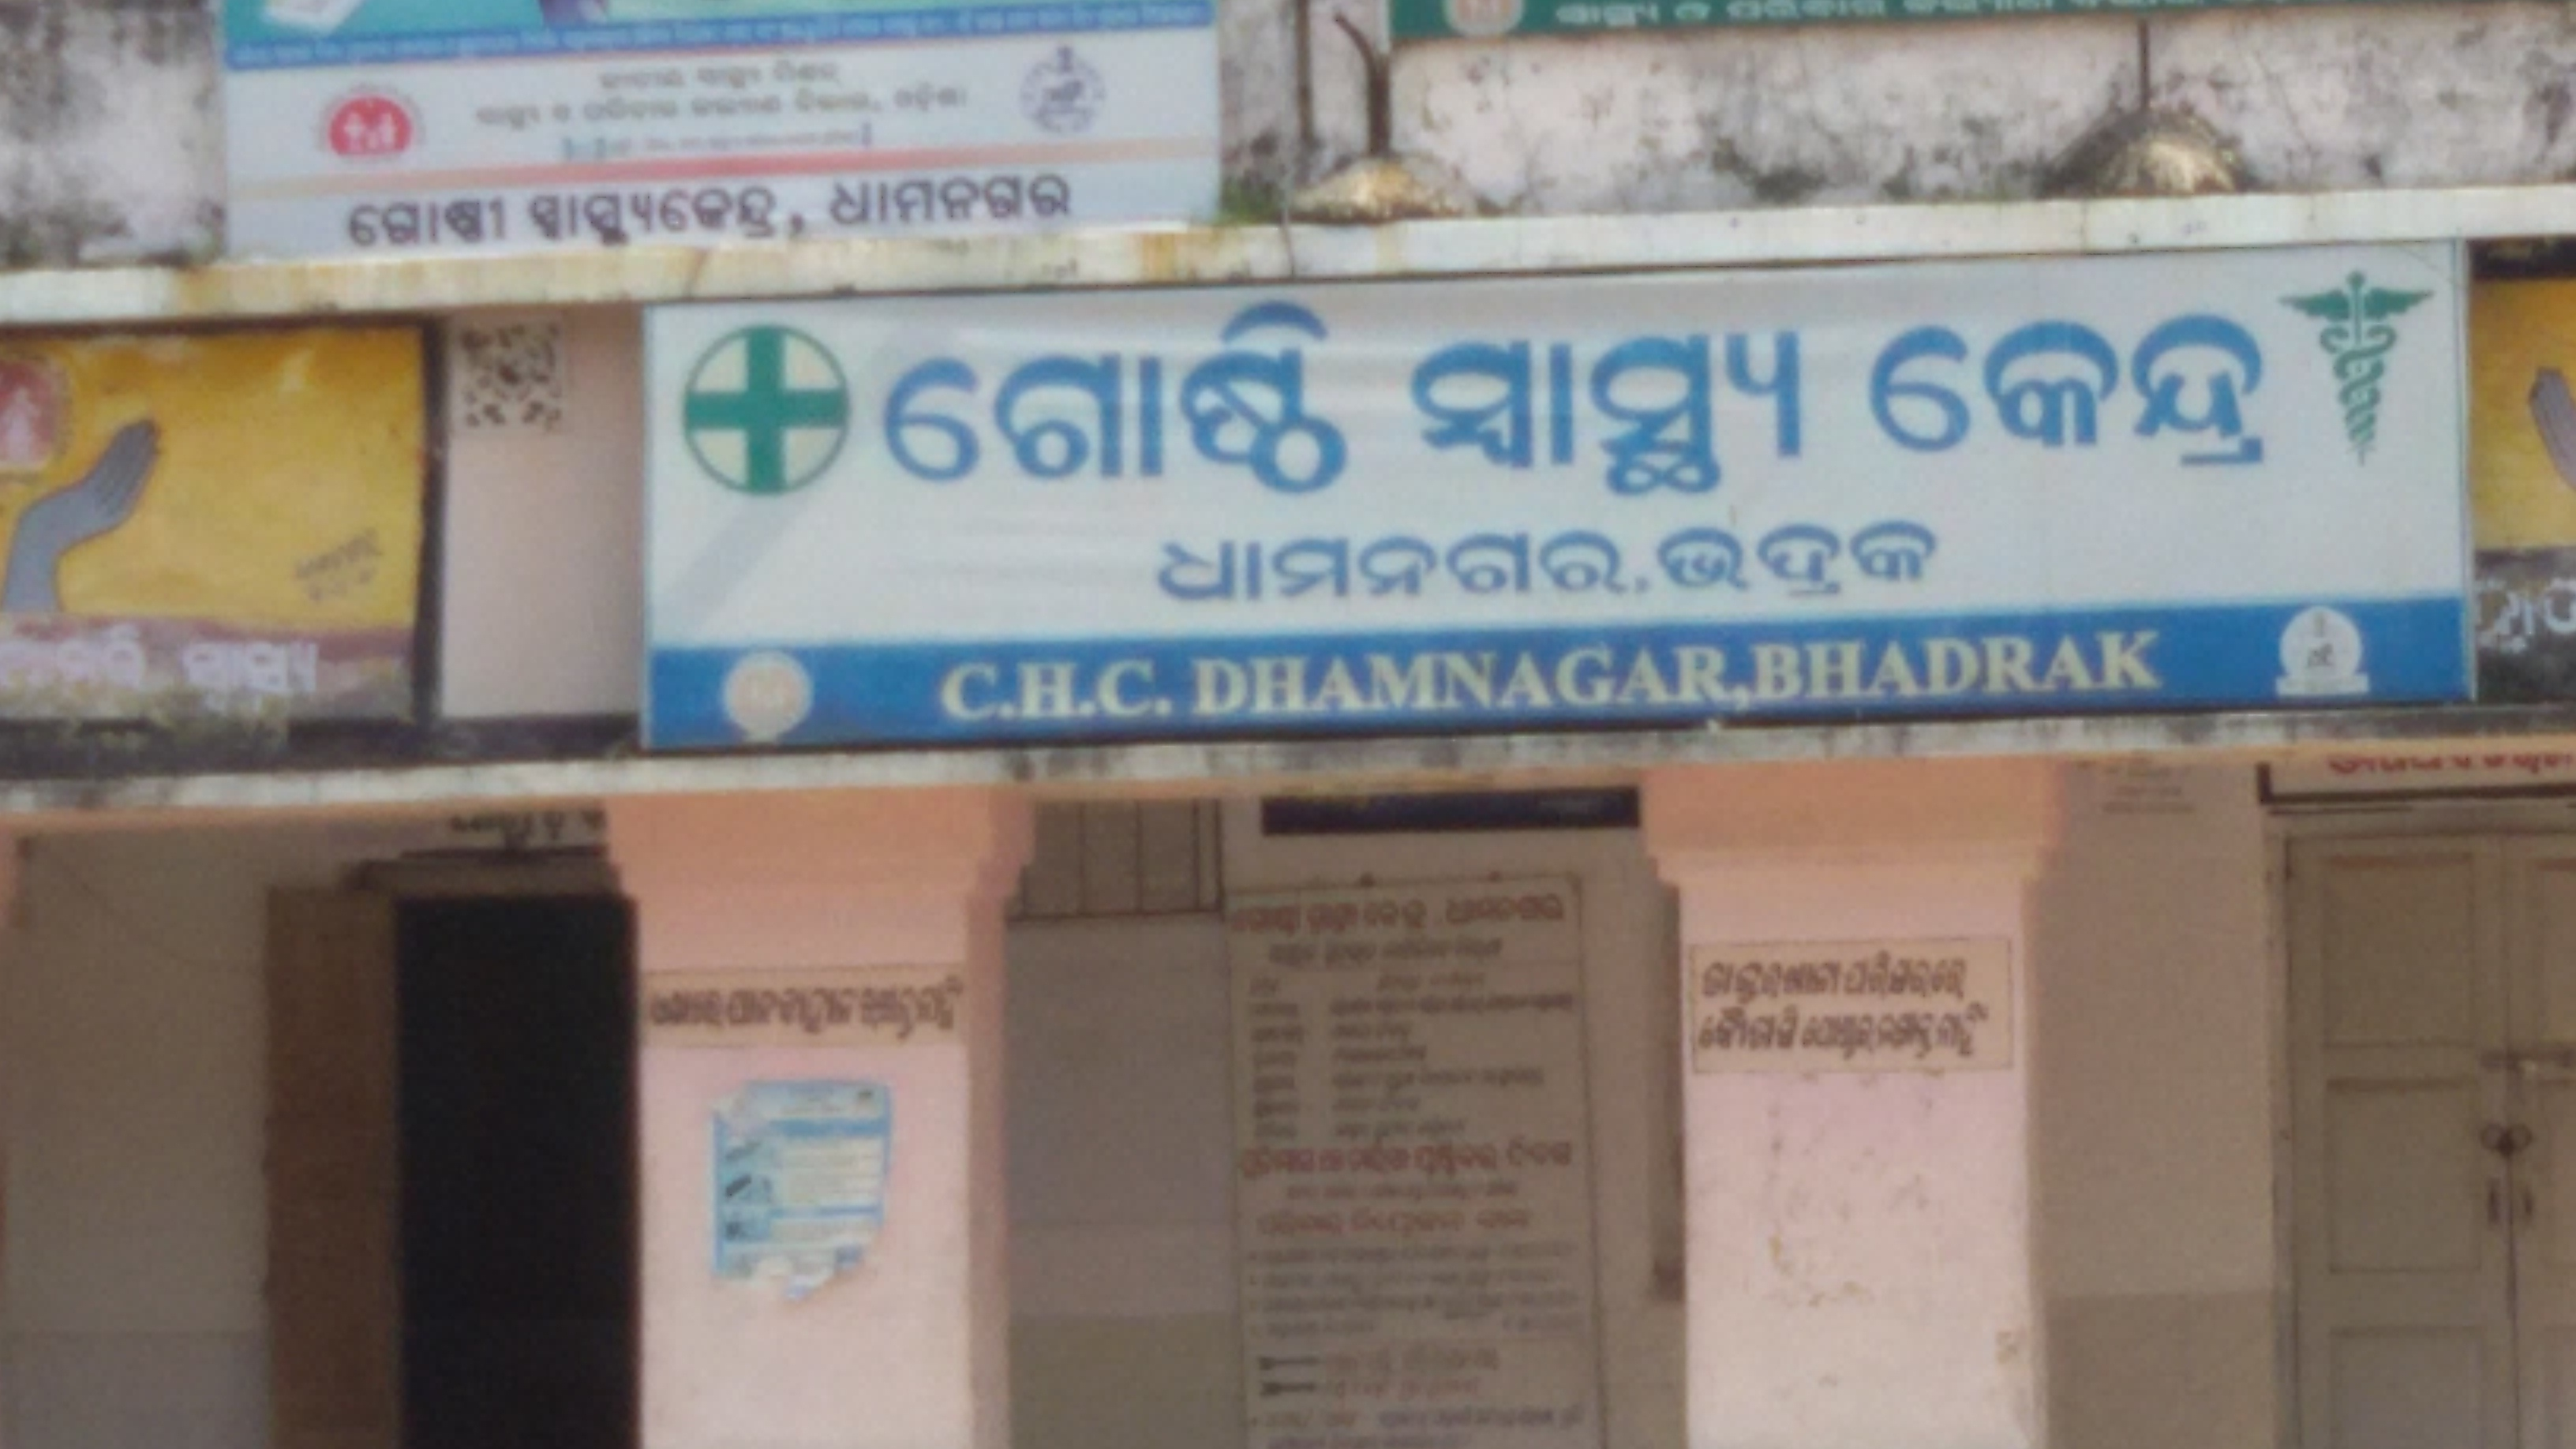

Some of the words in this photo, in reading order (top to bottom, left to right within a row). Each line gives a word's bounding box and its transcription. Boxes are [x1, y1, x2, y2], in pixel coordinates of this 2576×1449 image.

[335, 185, 515, 258] ଗୋଷ୍ଠୀ
[526, 175, 788, 250] ସ୍ବାସ୍ଥ୍ୟକେନ୍ଦ୍ର
[818, 158, 1074, 234] ଧାମନଗର
[870, 276, 1361, 513] ଗୋଷ୍ଠି
[1398, 313, 1818, 504] ସାସ୍ଥ୍ୟ
[1855, 295, 2279, 478] କେନ୍ଦ୍ର
[1151, 521, 1631, 606] ଧାମନଗର
[1649, 504, 1946, 612] ଭଦ୍ରକ
[938, 650, 1166, 734] C.H.C
[1176, 635, 1738, 720] DHAMNAGAR
[1747, 622, 2161, 709] BHADRAK